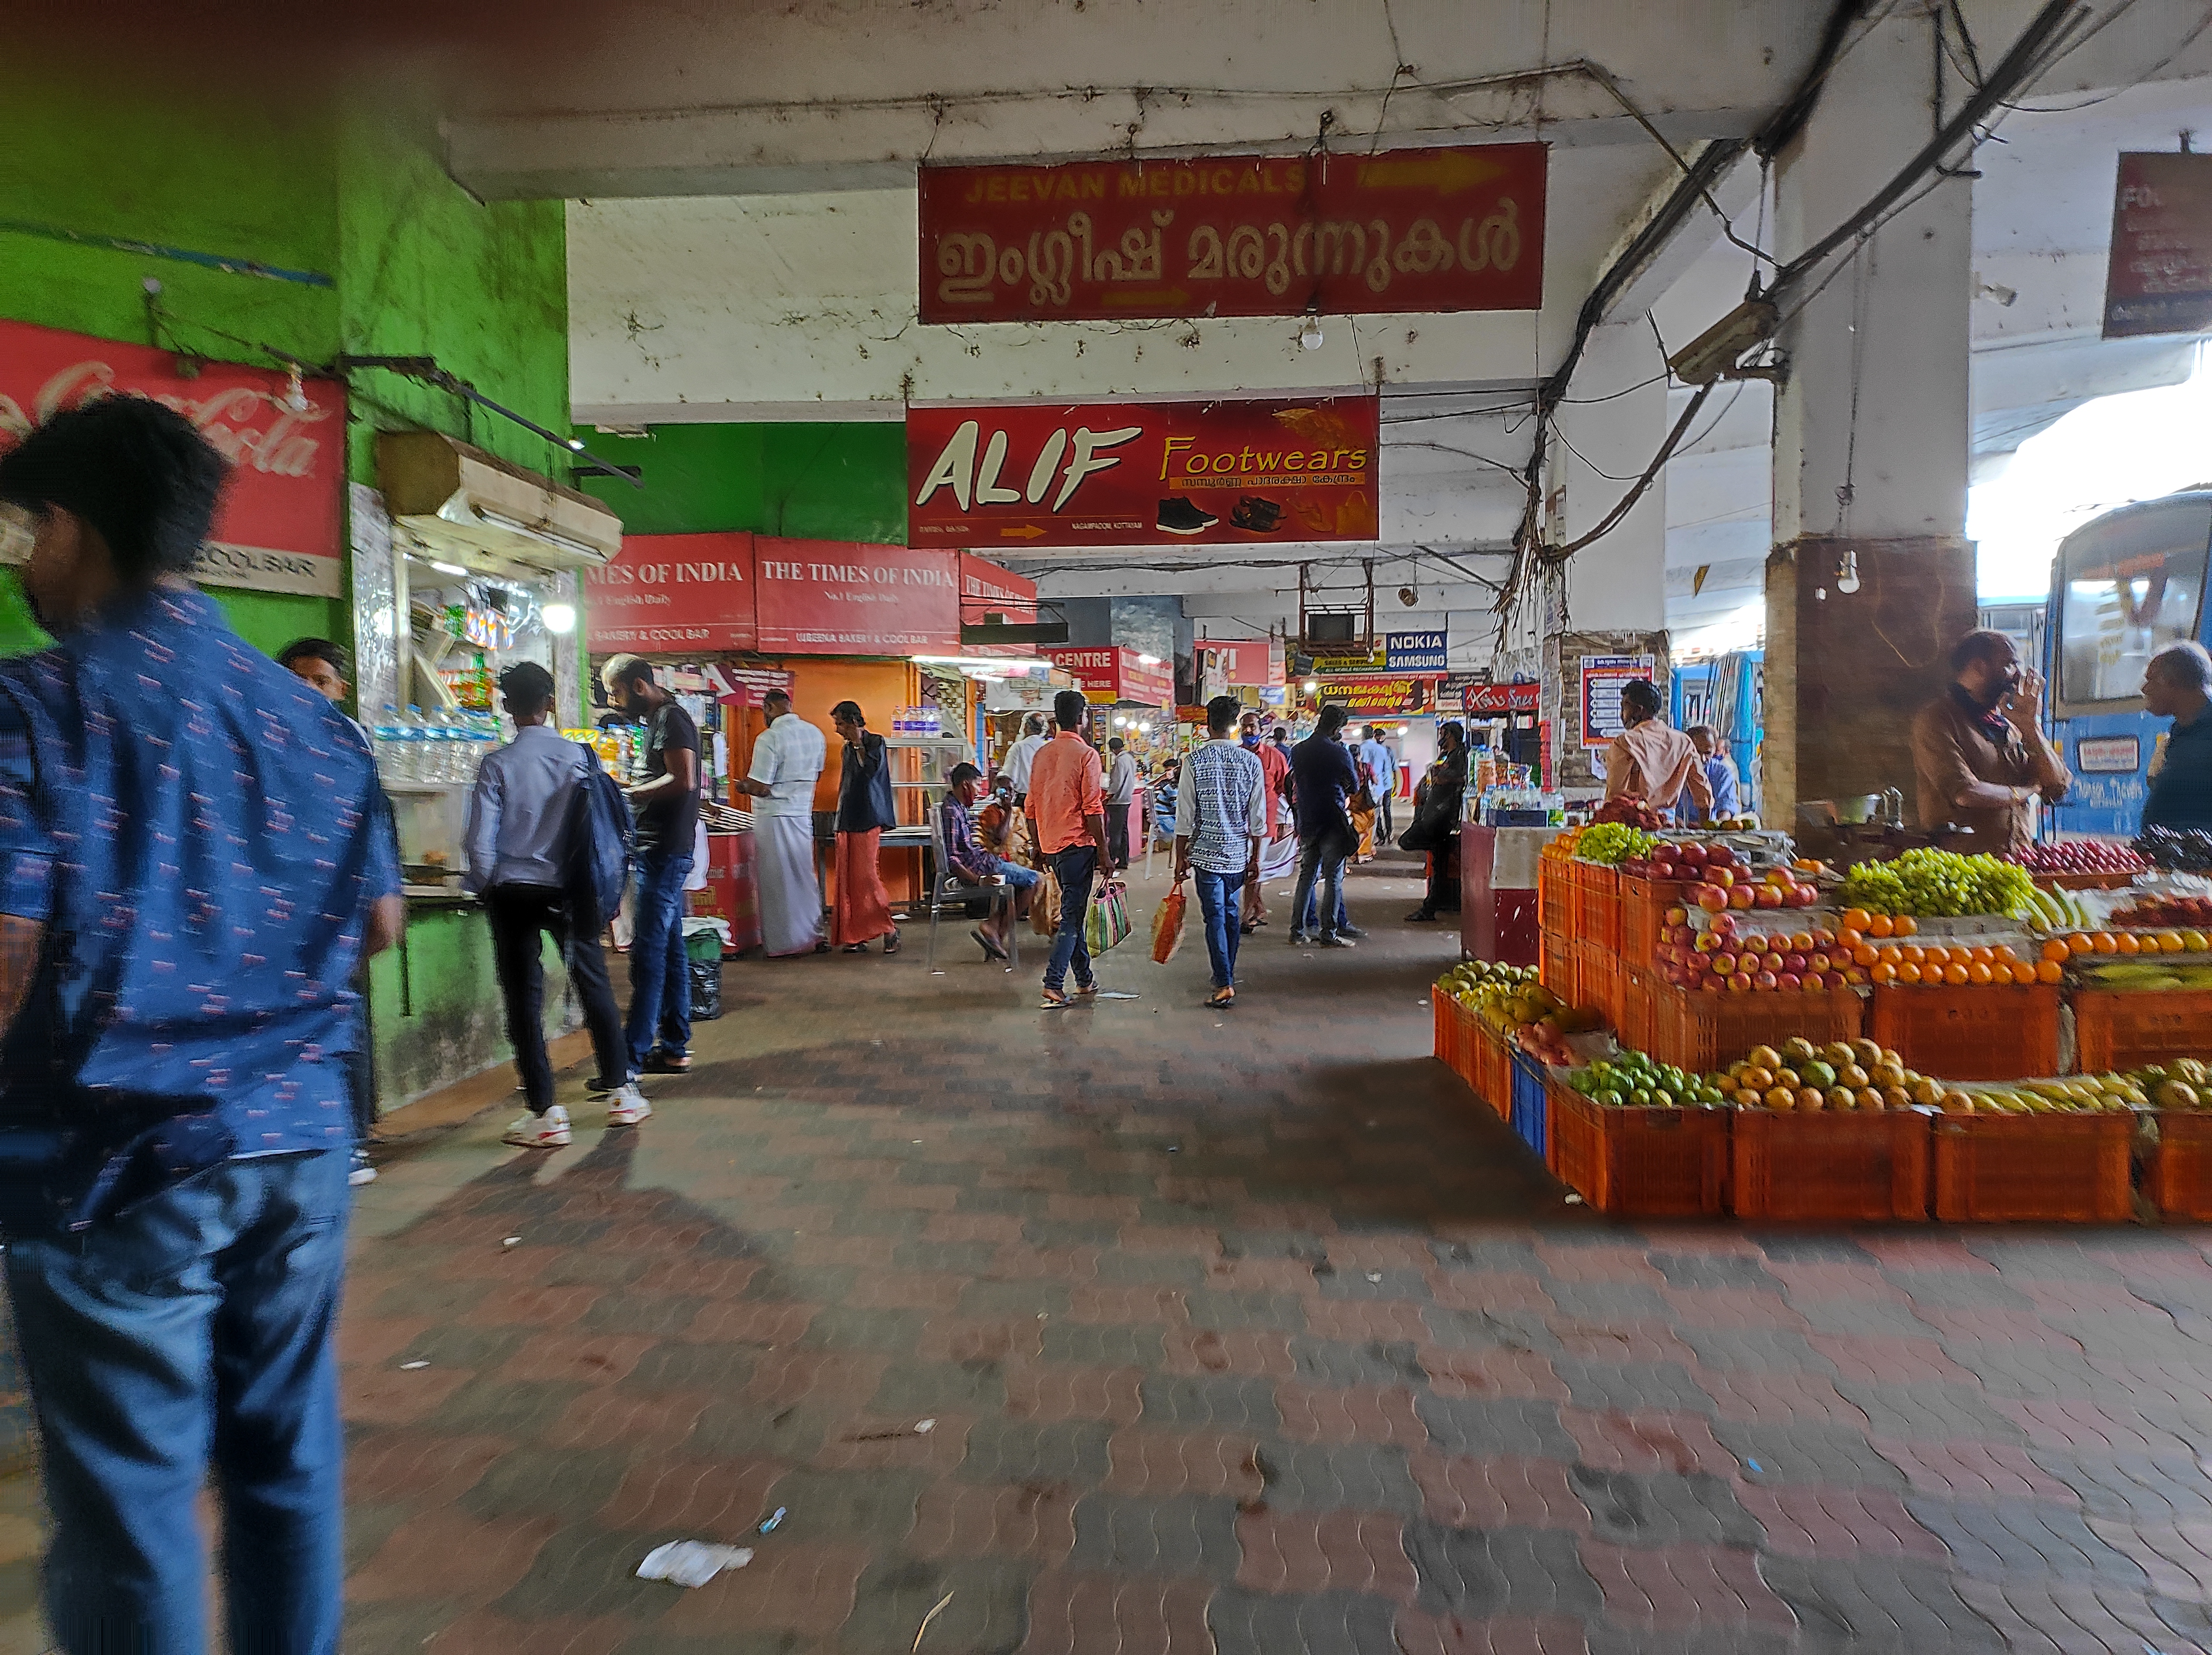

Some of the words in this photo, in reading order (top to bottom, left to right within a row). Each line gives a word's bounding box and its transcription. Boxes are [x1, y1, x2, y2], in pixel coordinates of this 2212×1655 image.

[960, 169, 1109, 209] JEEVAN
[1114, 161, 1312, 201] MEDICALS
[929, 204, 1176, 311] ഇംഗ്ലീഷ്
[1180, 188, 1526, 302] മരുന്നുകൾ
[913, 416, 1143, 516] ALIF
[1178, 475, 1243, 490] സമ്പൂർണ
[1156, 432, 1370, 483] Footwears
[1246, 472, 1309, 488] പാദരക്ഷാ
[1309, 472, 1359, 485] കേന്ദ്രം
[638, 559, 671, 587] OF
[672, 560, 747, 585] INDIA
[759, 558, 806, 583] THE
[805, 560, 873, 585] TIMES
[871, 565, 897, 588] OF
[899, 564, 956, 589] INDIA
[645, 625, 712, 642] COOLBAR
[836, 630, 874, 645] BAKERY
[881, 632, 930, 648] COOLBAR
[1386, 630, 1444, 652] NOKIA
[1050, 647, 1113, 670] CENTRE
[1387, 652, 1446, 669] SAMSUNG